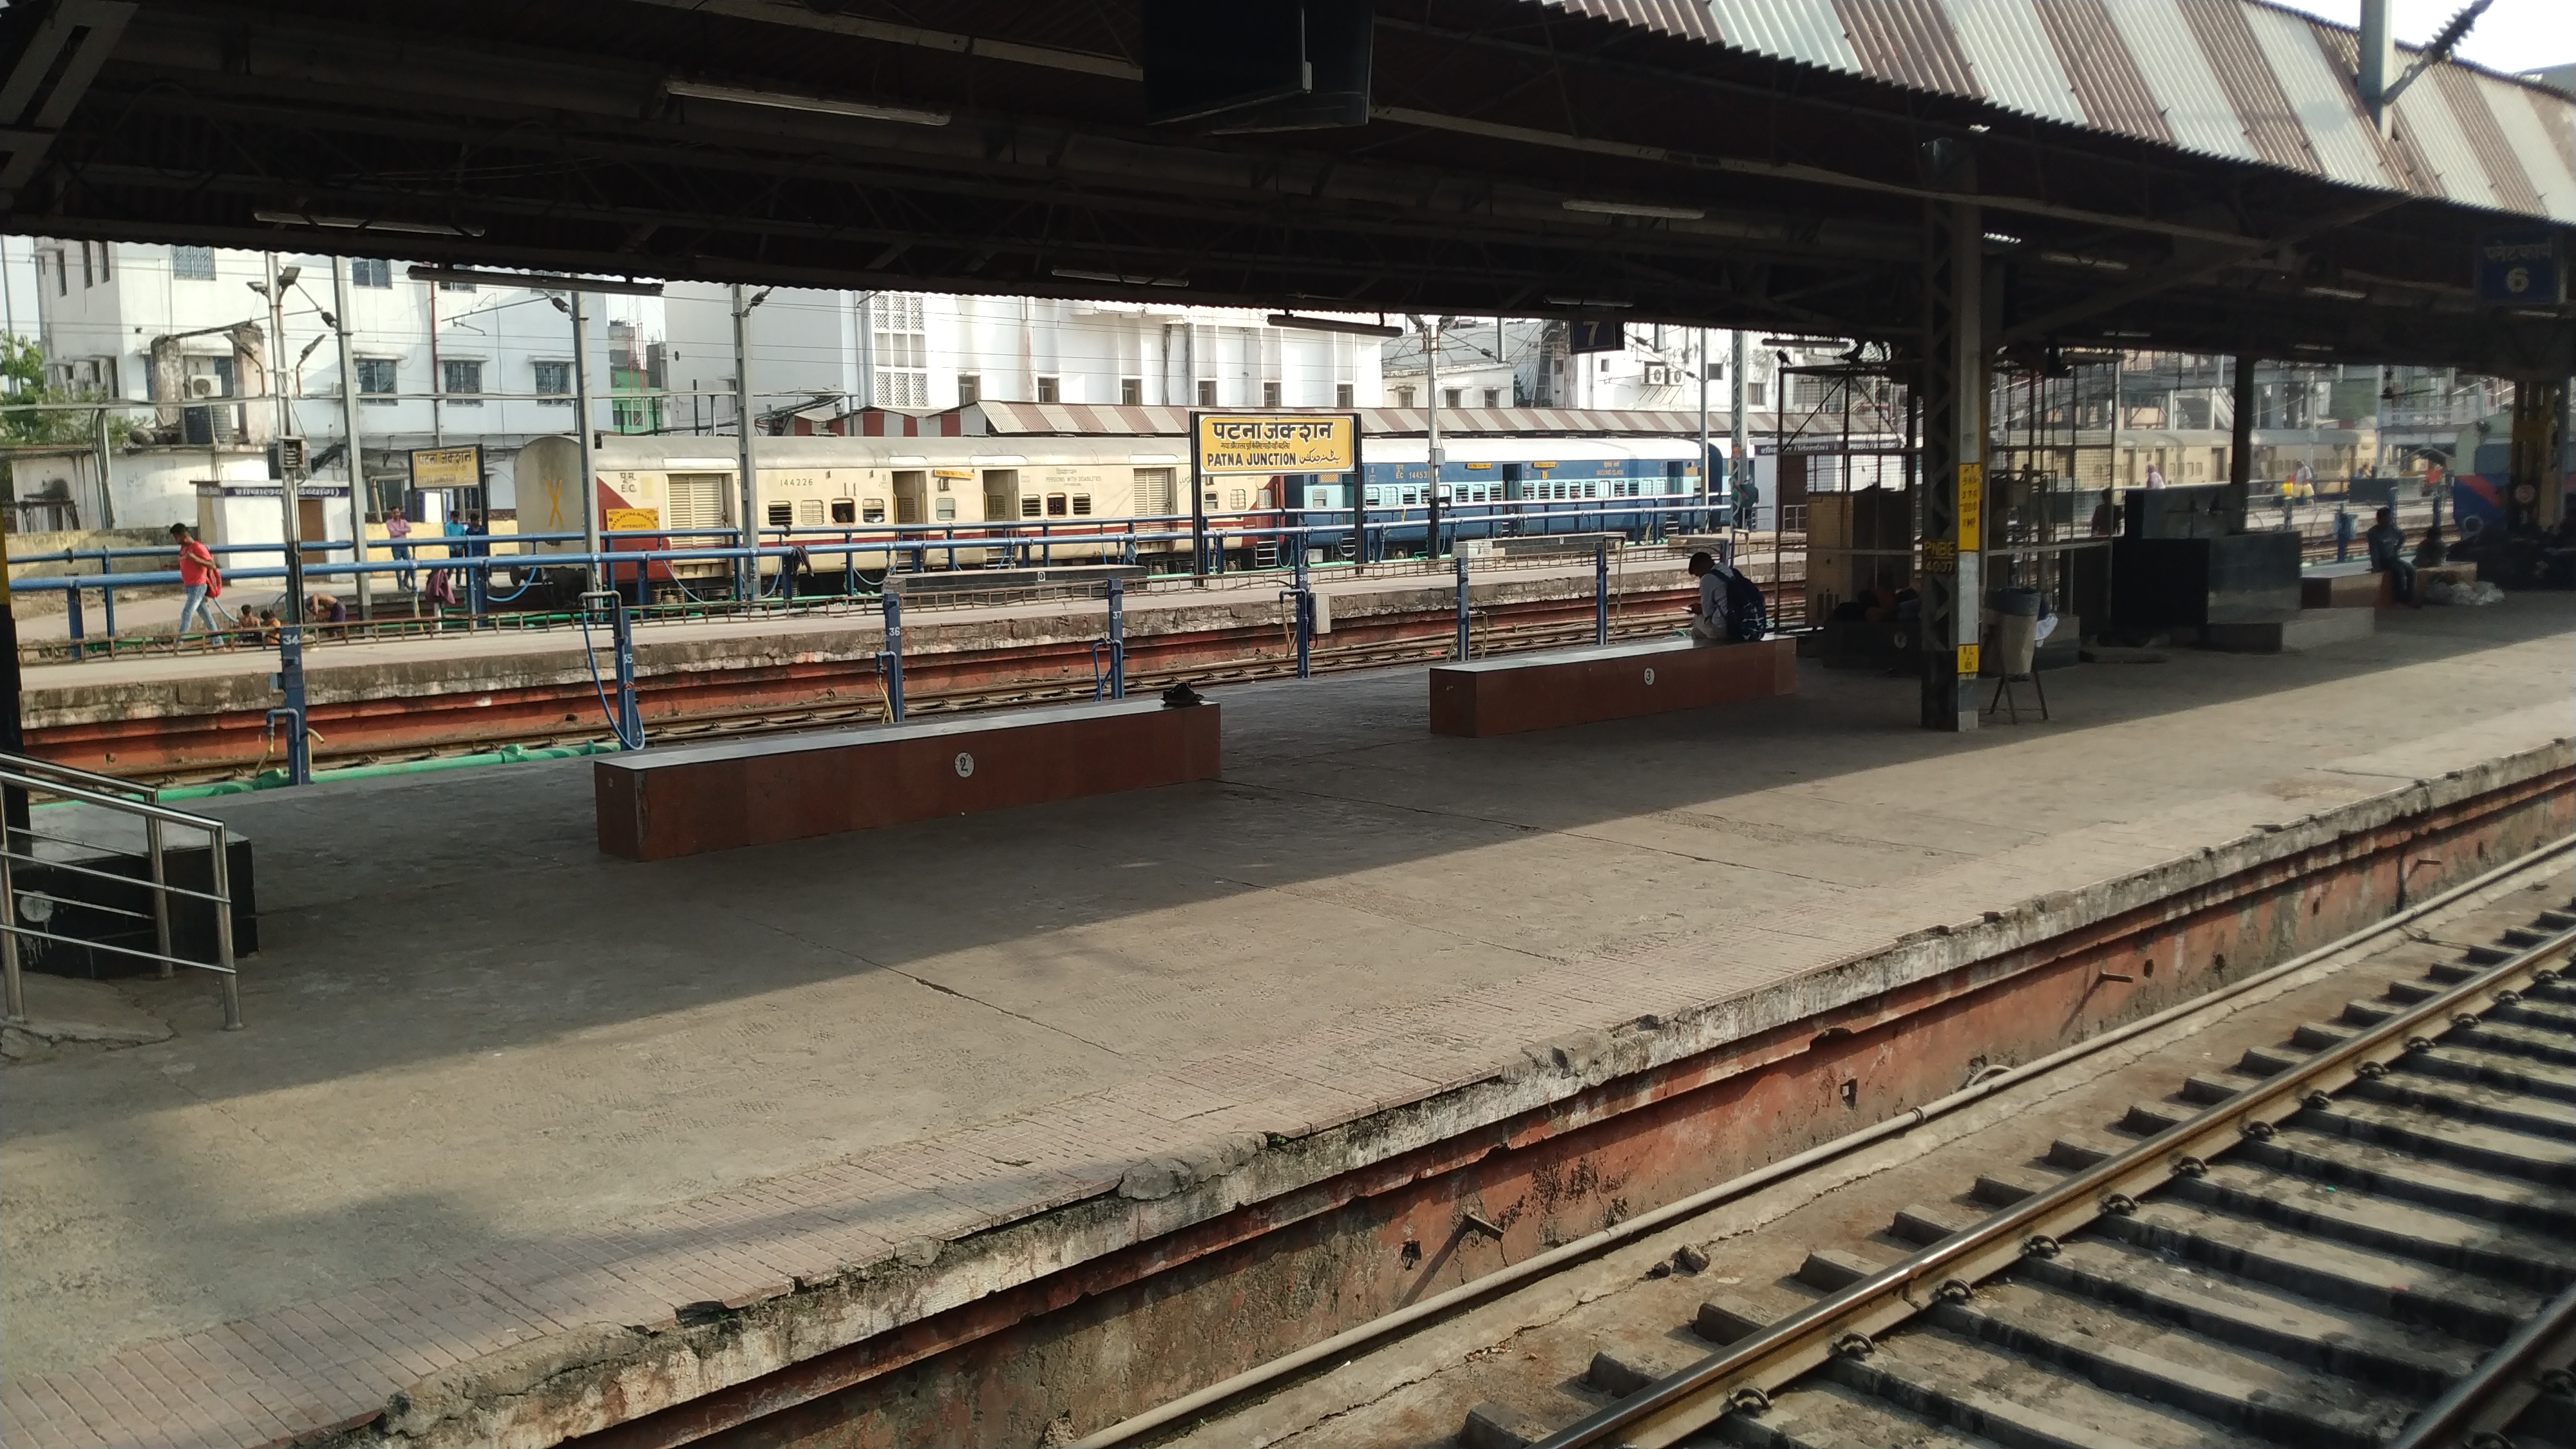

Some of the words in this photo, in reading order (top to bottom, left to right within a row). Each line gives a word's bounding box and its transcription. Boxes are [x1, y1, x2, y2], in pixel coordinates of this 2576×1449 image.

[1211, 421, 1263, 442] पटना
[1262, 415, 1334, 446] जंक्शन
[1218, 441, 1232, 450] गया
[1231, 439, 1247, 451] और उत्तर
[1261, 439, 1273, 453] गाड़ीय
[1206, 453, 1245, 468] PATNA
[1245, 451, 1298, 471] JUNCTION